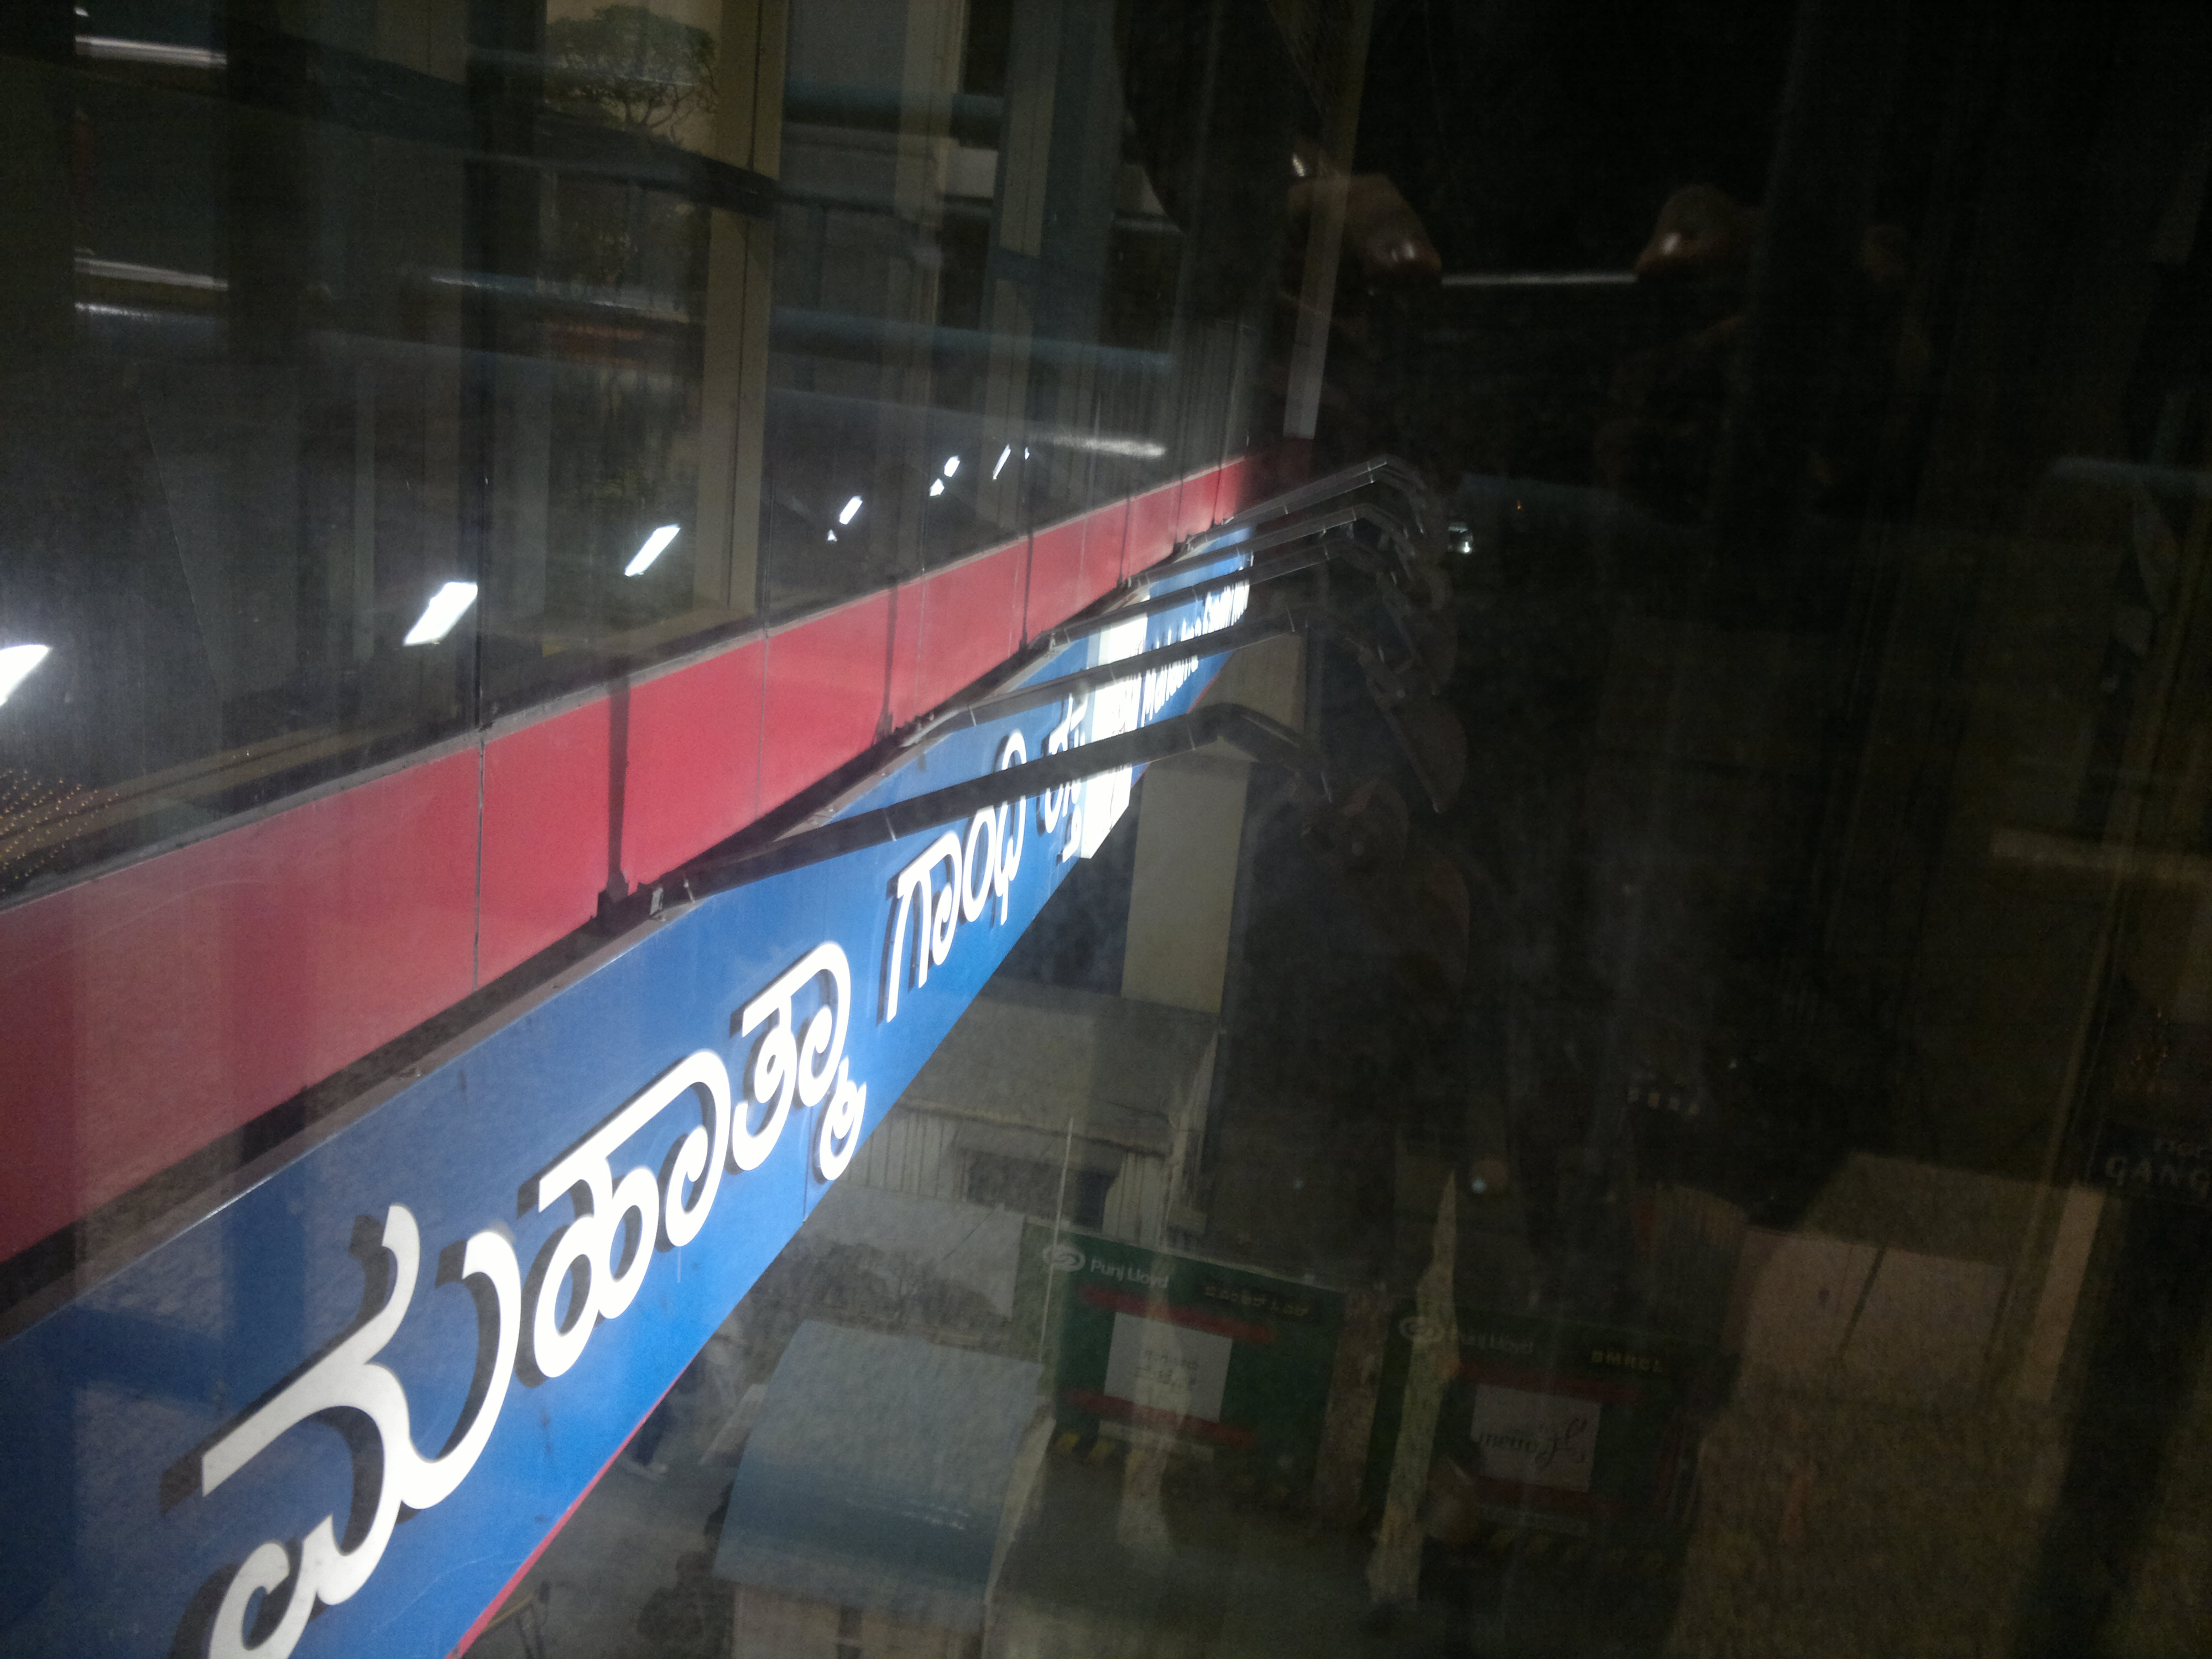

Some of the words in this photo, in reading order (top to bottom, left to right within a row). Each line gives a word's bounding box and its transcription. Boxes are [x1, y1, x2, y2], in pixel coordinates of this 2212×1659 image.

[883, 723, 1035, 1033] ಗಾಂಧಿ
[186, 931, 874, 1658] ಮಹಾತ್ಮಾ